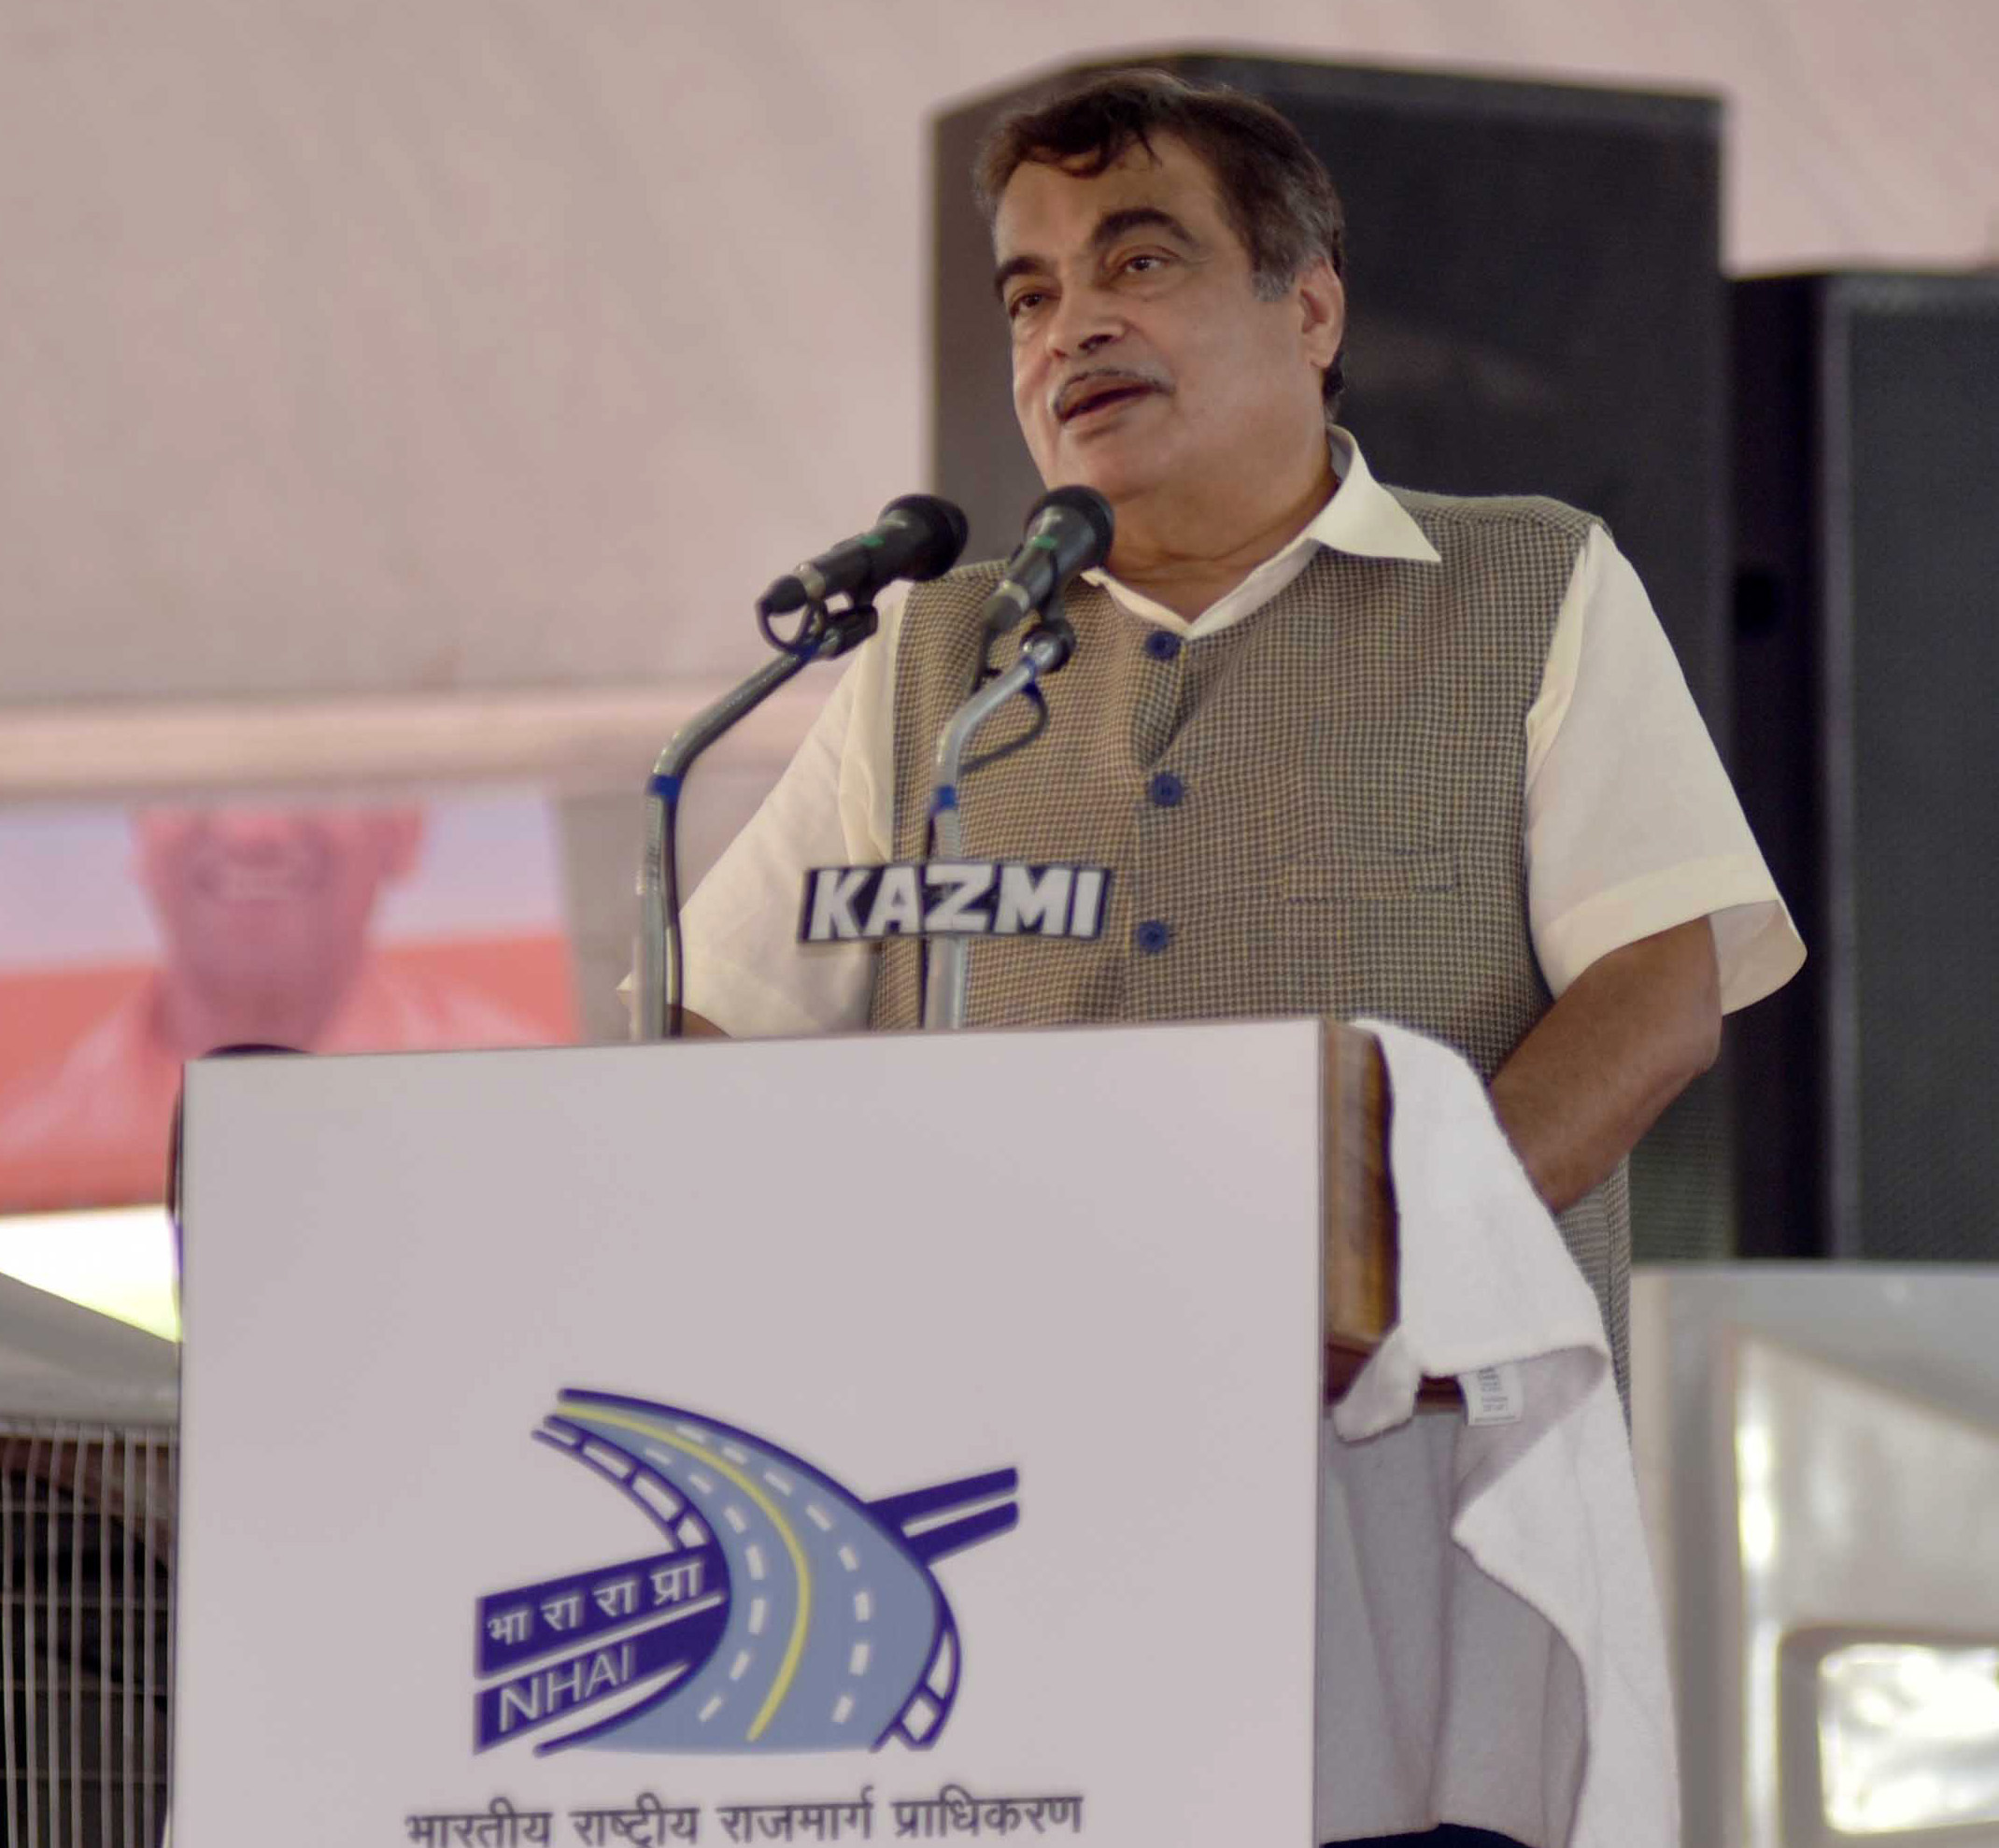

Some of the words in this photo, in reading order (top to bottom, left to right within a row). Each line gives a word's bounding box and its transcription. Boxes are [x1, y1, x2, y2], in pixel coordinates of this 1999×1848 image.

[789, 861, 1104, 942] KAZMI
[480, 1601, 531, 1653] भा
[535, 1589, 584, 1641] रा
[588, 1575, 639, 1626] रा
[649, 1557, 705, 1611] प्रा
[482, 1642, 645, 1738] NHAI
[406, 1786, 557, 1846] भारतीय
[561, 1786, 701, 1846] राष्टीय
[715, 1778, 879, 1846] राजमार्ग
[889, 1781, 1087, 1841] प्राधिकरण